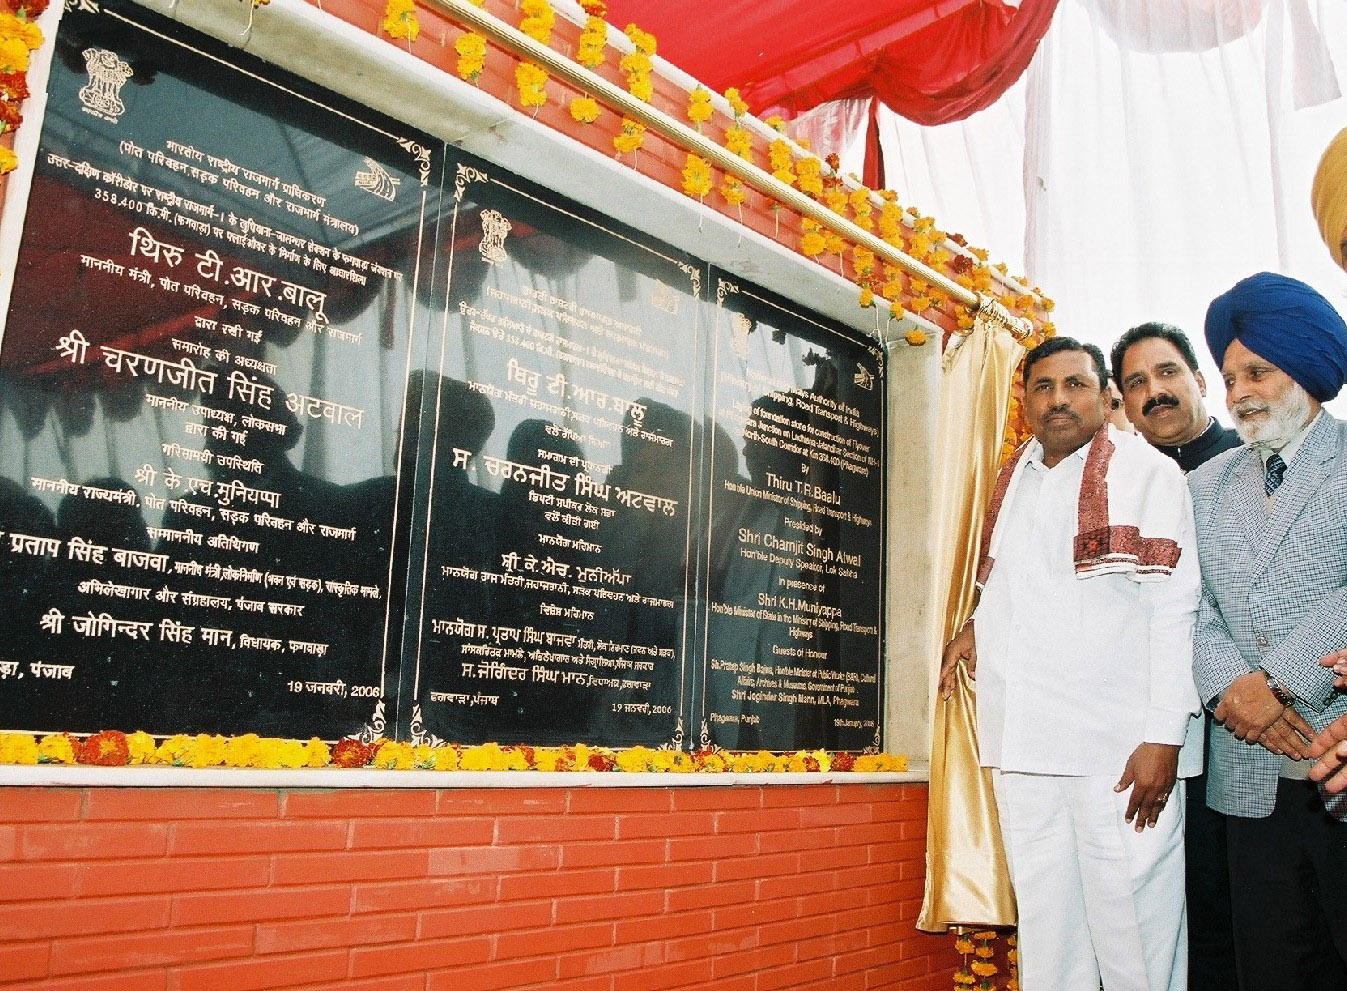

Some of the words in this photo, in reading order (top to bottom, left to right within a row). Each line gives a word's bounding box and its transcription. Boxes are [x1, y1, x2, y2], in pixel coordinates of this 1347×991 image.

[119, 221, 189, 273] थिरु
[187, 242, 231, 287] टी.
[229, 259, 281, 304] आर.
[278, 276, 335, 325] बालू
[51, 326, 96, 369] श्री
[93, 340, 223, 399] चरणजीत
[218, 368, 283, 416] सिंह
[501, 356, 545, 397] ਥਿਰੂ
[545, 369, 613, 415] ਟੀ.ਆਰ.
[281, 383, 369, 434] अटवाल
[611, 393, 652, 429] ਬਾਲੂ
[127, 457, 159, 491] श्री
[159, 463, 185, 495] के
[181, 474, 214, 502] एच
[211, 475, 287, 511] मुनियप्पा
[443, 439, 475, 476] ਸ
[477, 448, 574, 494] ਚਰਨਜੀਤ
[570, 471, 615, 503] ਸਿੰਘ
[612, 483, 685, 518] ਅਟਵਾਲ
[761, 468, 794, 494] Thiru
[792, 477, 814, 500] T.R.
[812, 481, 844, 507] Baalu
[5, 527, 65, 564] प्रताप
[63, 531, 109, 571] सिंह
[107, 544, 173, 577] बाजवा,
[495, 545, 523, 573] ਸ਼੍ਰੀ
[521, 549, 541, 576] ਕੇ.
[539, 552, 575, 581] ਐਚ.
[574, 560, 637, 589] ਮੁਨੀਅੱਪਾ
[734, 523, 763, 549] Shri
[761, 528, 805, 558] Chamjit
[805, 537, 837, 565] Singh.
[834, 545, 865, 569] Alwal
[32, 601, 71, 637] श्री
[69, 607, 156, 647] जोगिन्दर
[155, 613, 198, 649] सिंह
[198, 621, 239, 651] मान,
[234, 627, 285, 657] विधायक,
[754, 591, 779, 611] Shri
[777, 590, 787, 611] K.
[787, 593, 798, 614] H.
[26, 653, 79, 687] पंजाब
[281, 676, 303, 694] 19
[301, 675, 351, 702] जनवरी,
[346, 680, 385, 702] 2006
[452, 658, 478, 683] म.
[477, 659, 529, 685] ਜੋਗਿੰਦਰ
[529, 662, 562, 687] ਸਿੰਘ
[561, 666, 589, 691] ਮਾਨ